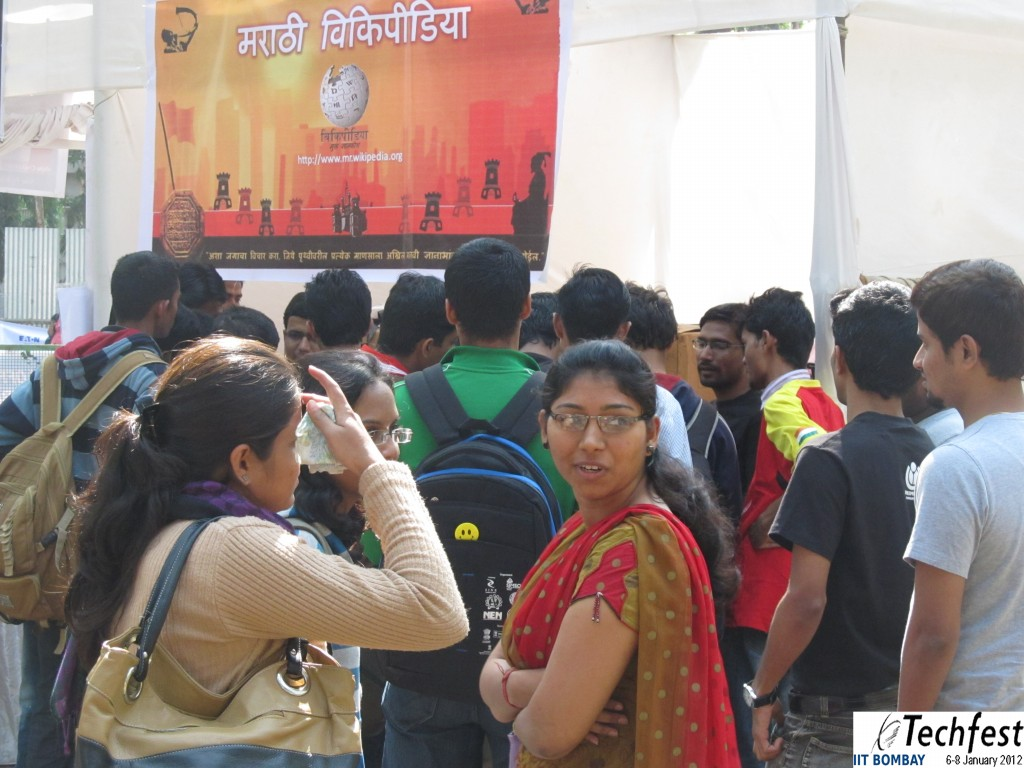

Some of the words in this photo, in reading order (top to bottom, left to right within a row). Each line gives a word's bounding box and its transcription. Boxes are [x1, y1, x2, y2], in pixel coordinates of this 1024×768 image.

[229, 9, 308, 64] मराठी
[315, 0, 479, 54] विकिपीडिया
[311, 117, 375, 144] बिकिपीडिया
[292, 145, 407, 170] http://www.mr.wikipedia.org
[203, 249, 230, 266] आशा
[222, 246, 253, 265] जगाचा
[240, 245, 269, 266] विचार
[263, 245, 281, 264] करा,
[275, 242, 303, 269] जिये
[290, 241, 332, 269] पृथ्वीवरील
[321, 241, 357, 267] प्रत्येक
[348, 245, 387, 267] माणसाला
[379, 239, 427, 268] अखिल मानवी
[883, 711, 1022, 752] Techfest
[849, 750, 871, 766] IIT
[869, 749, 925, 767] BOMBAY
[942, 750, 1024, 768] 6-8January2012